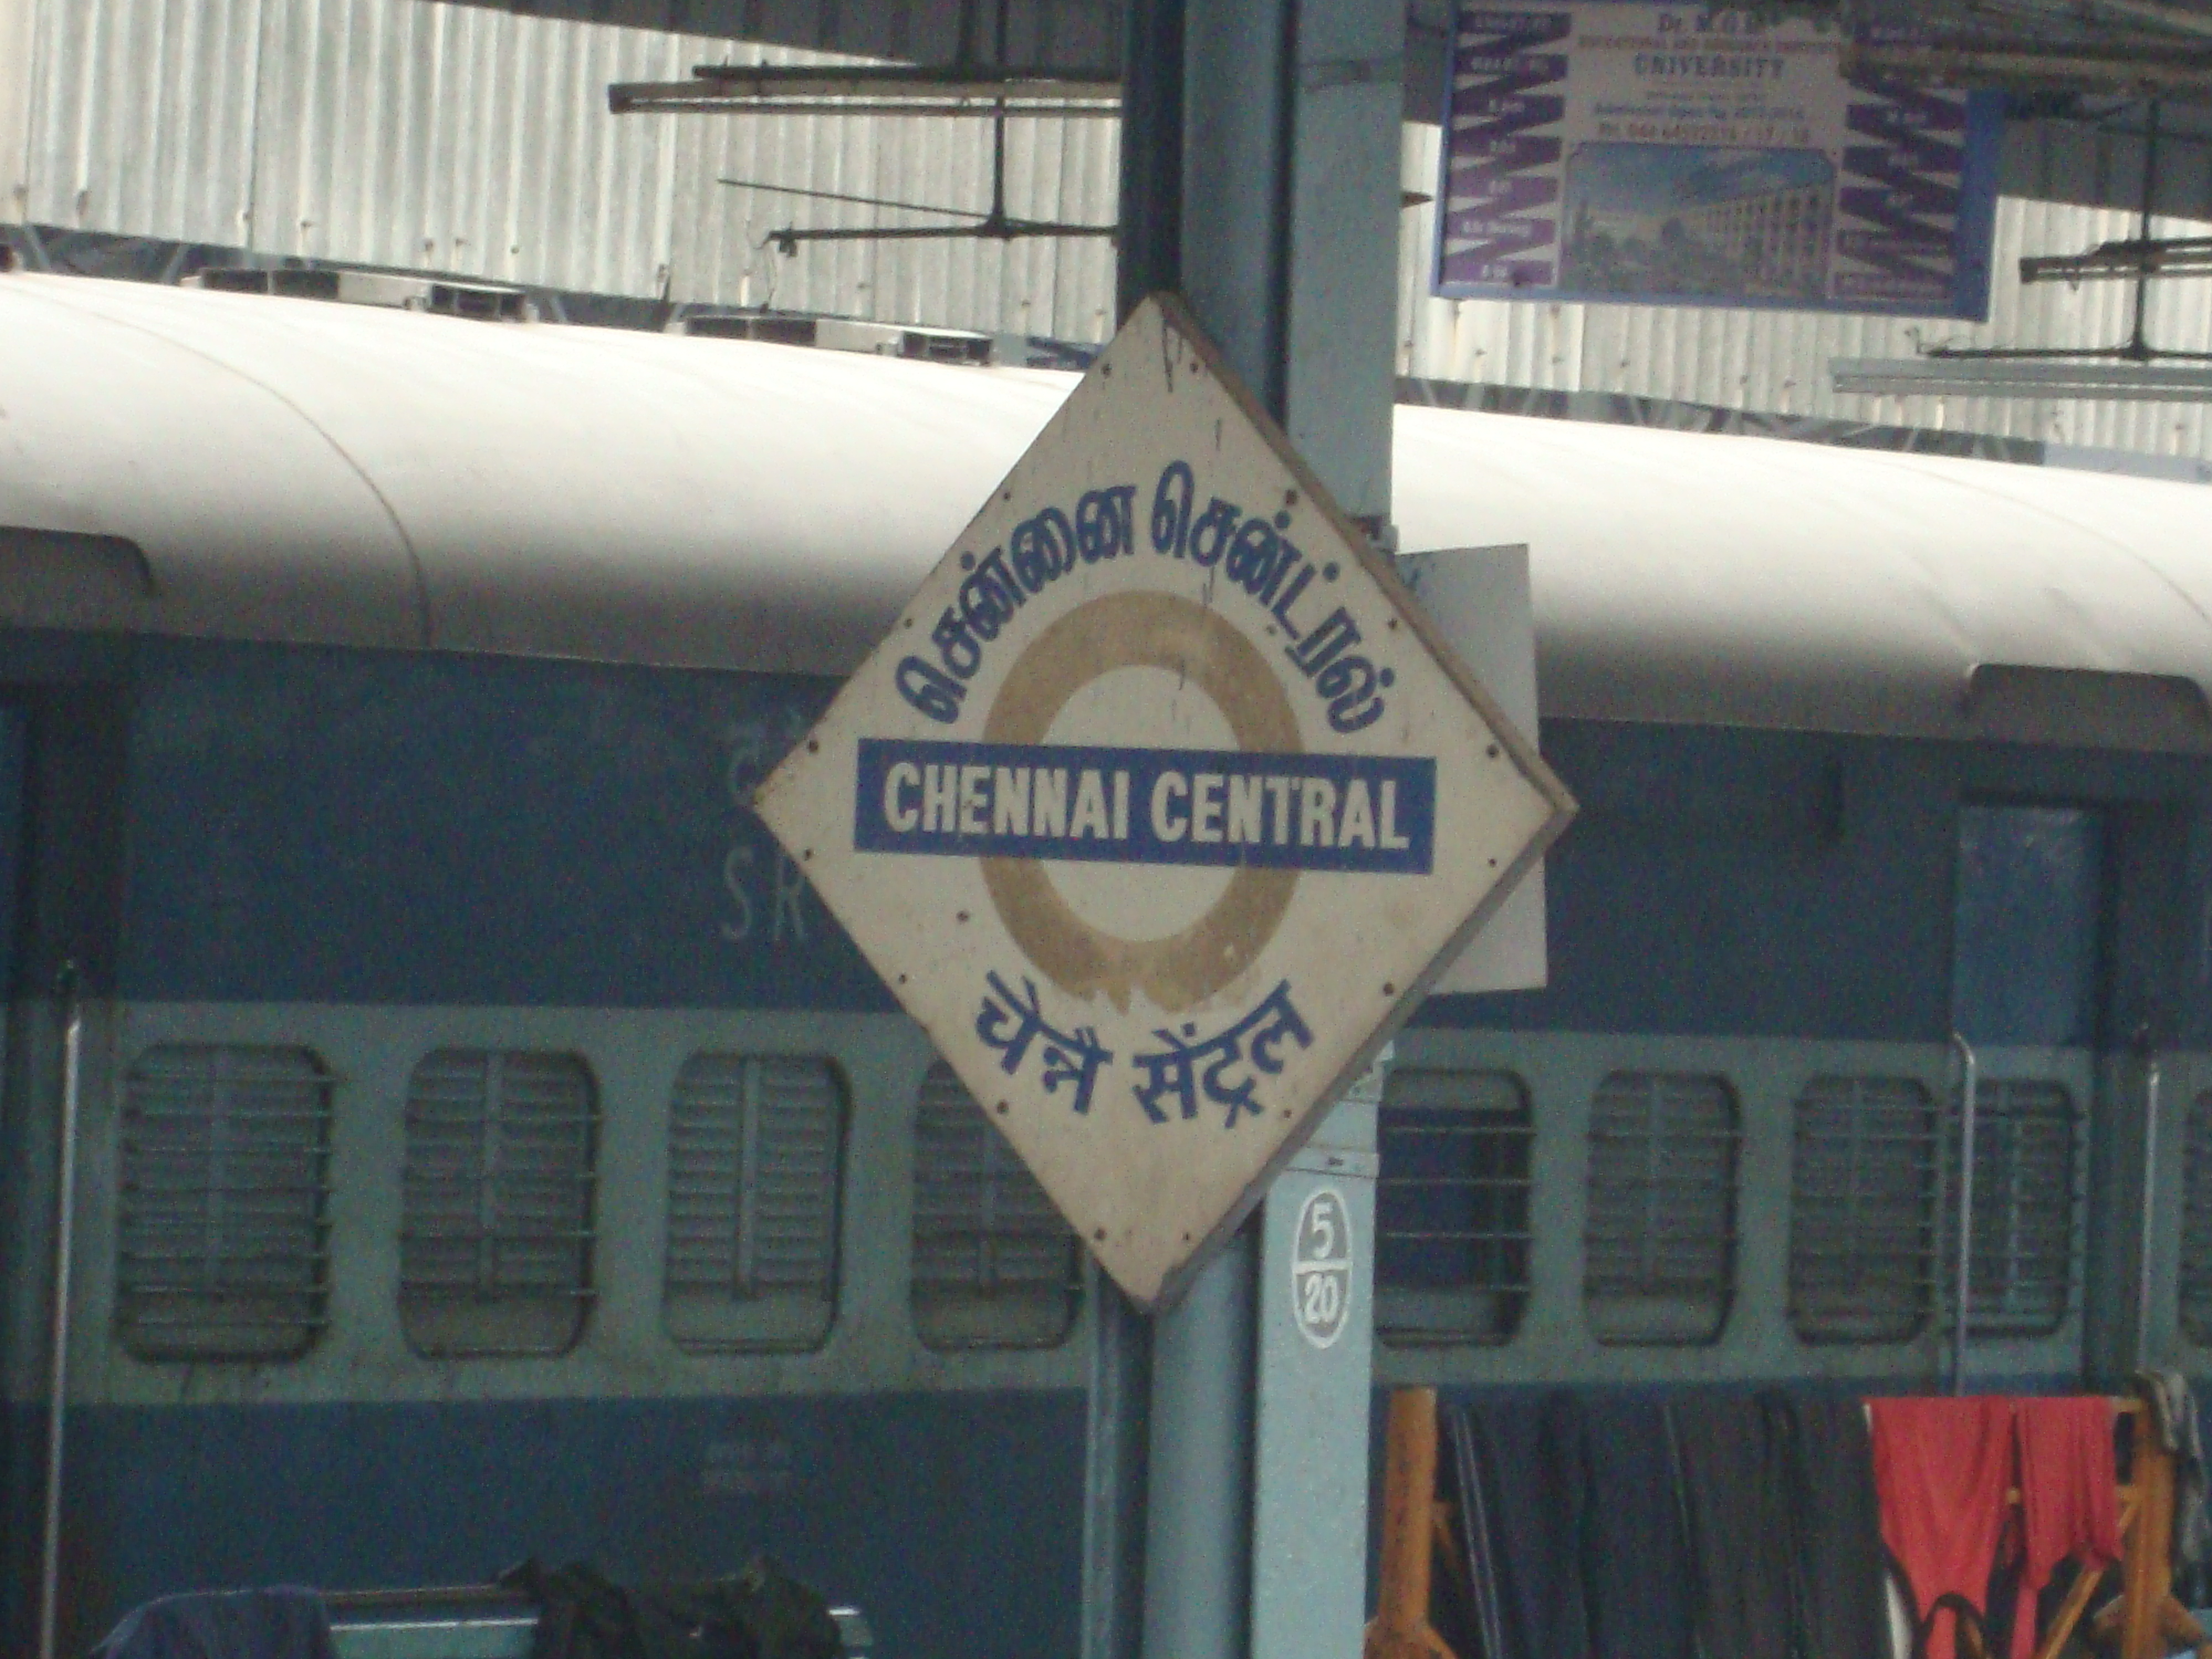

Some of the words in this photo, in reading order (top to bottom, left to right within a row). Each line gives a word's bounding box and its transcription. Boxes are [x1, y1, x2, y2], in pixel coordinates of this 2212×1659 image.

[1624, 44, 1788, 86] UNIVERSITY
[883, 480, 1139, 727] சென்னை
[1142, 453, 1397, 738] சென்ட்ரல்
[873, 755, 1131, 843] CHENNAI
[1145, 768, 1415, 854] CENTRAL
[966, 966, 1117, 1120] चेन्नै
[1126, 971, 1319, 1133] सेंट्रल